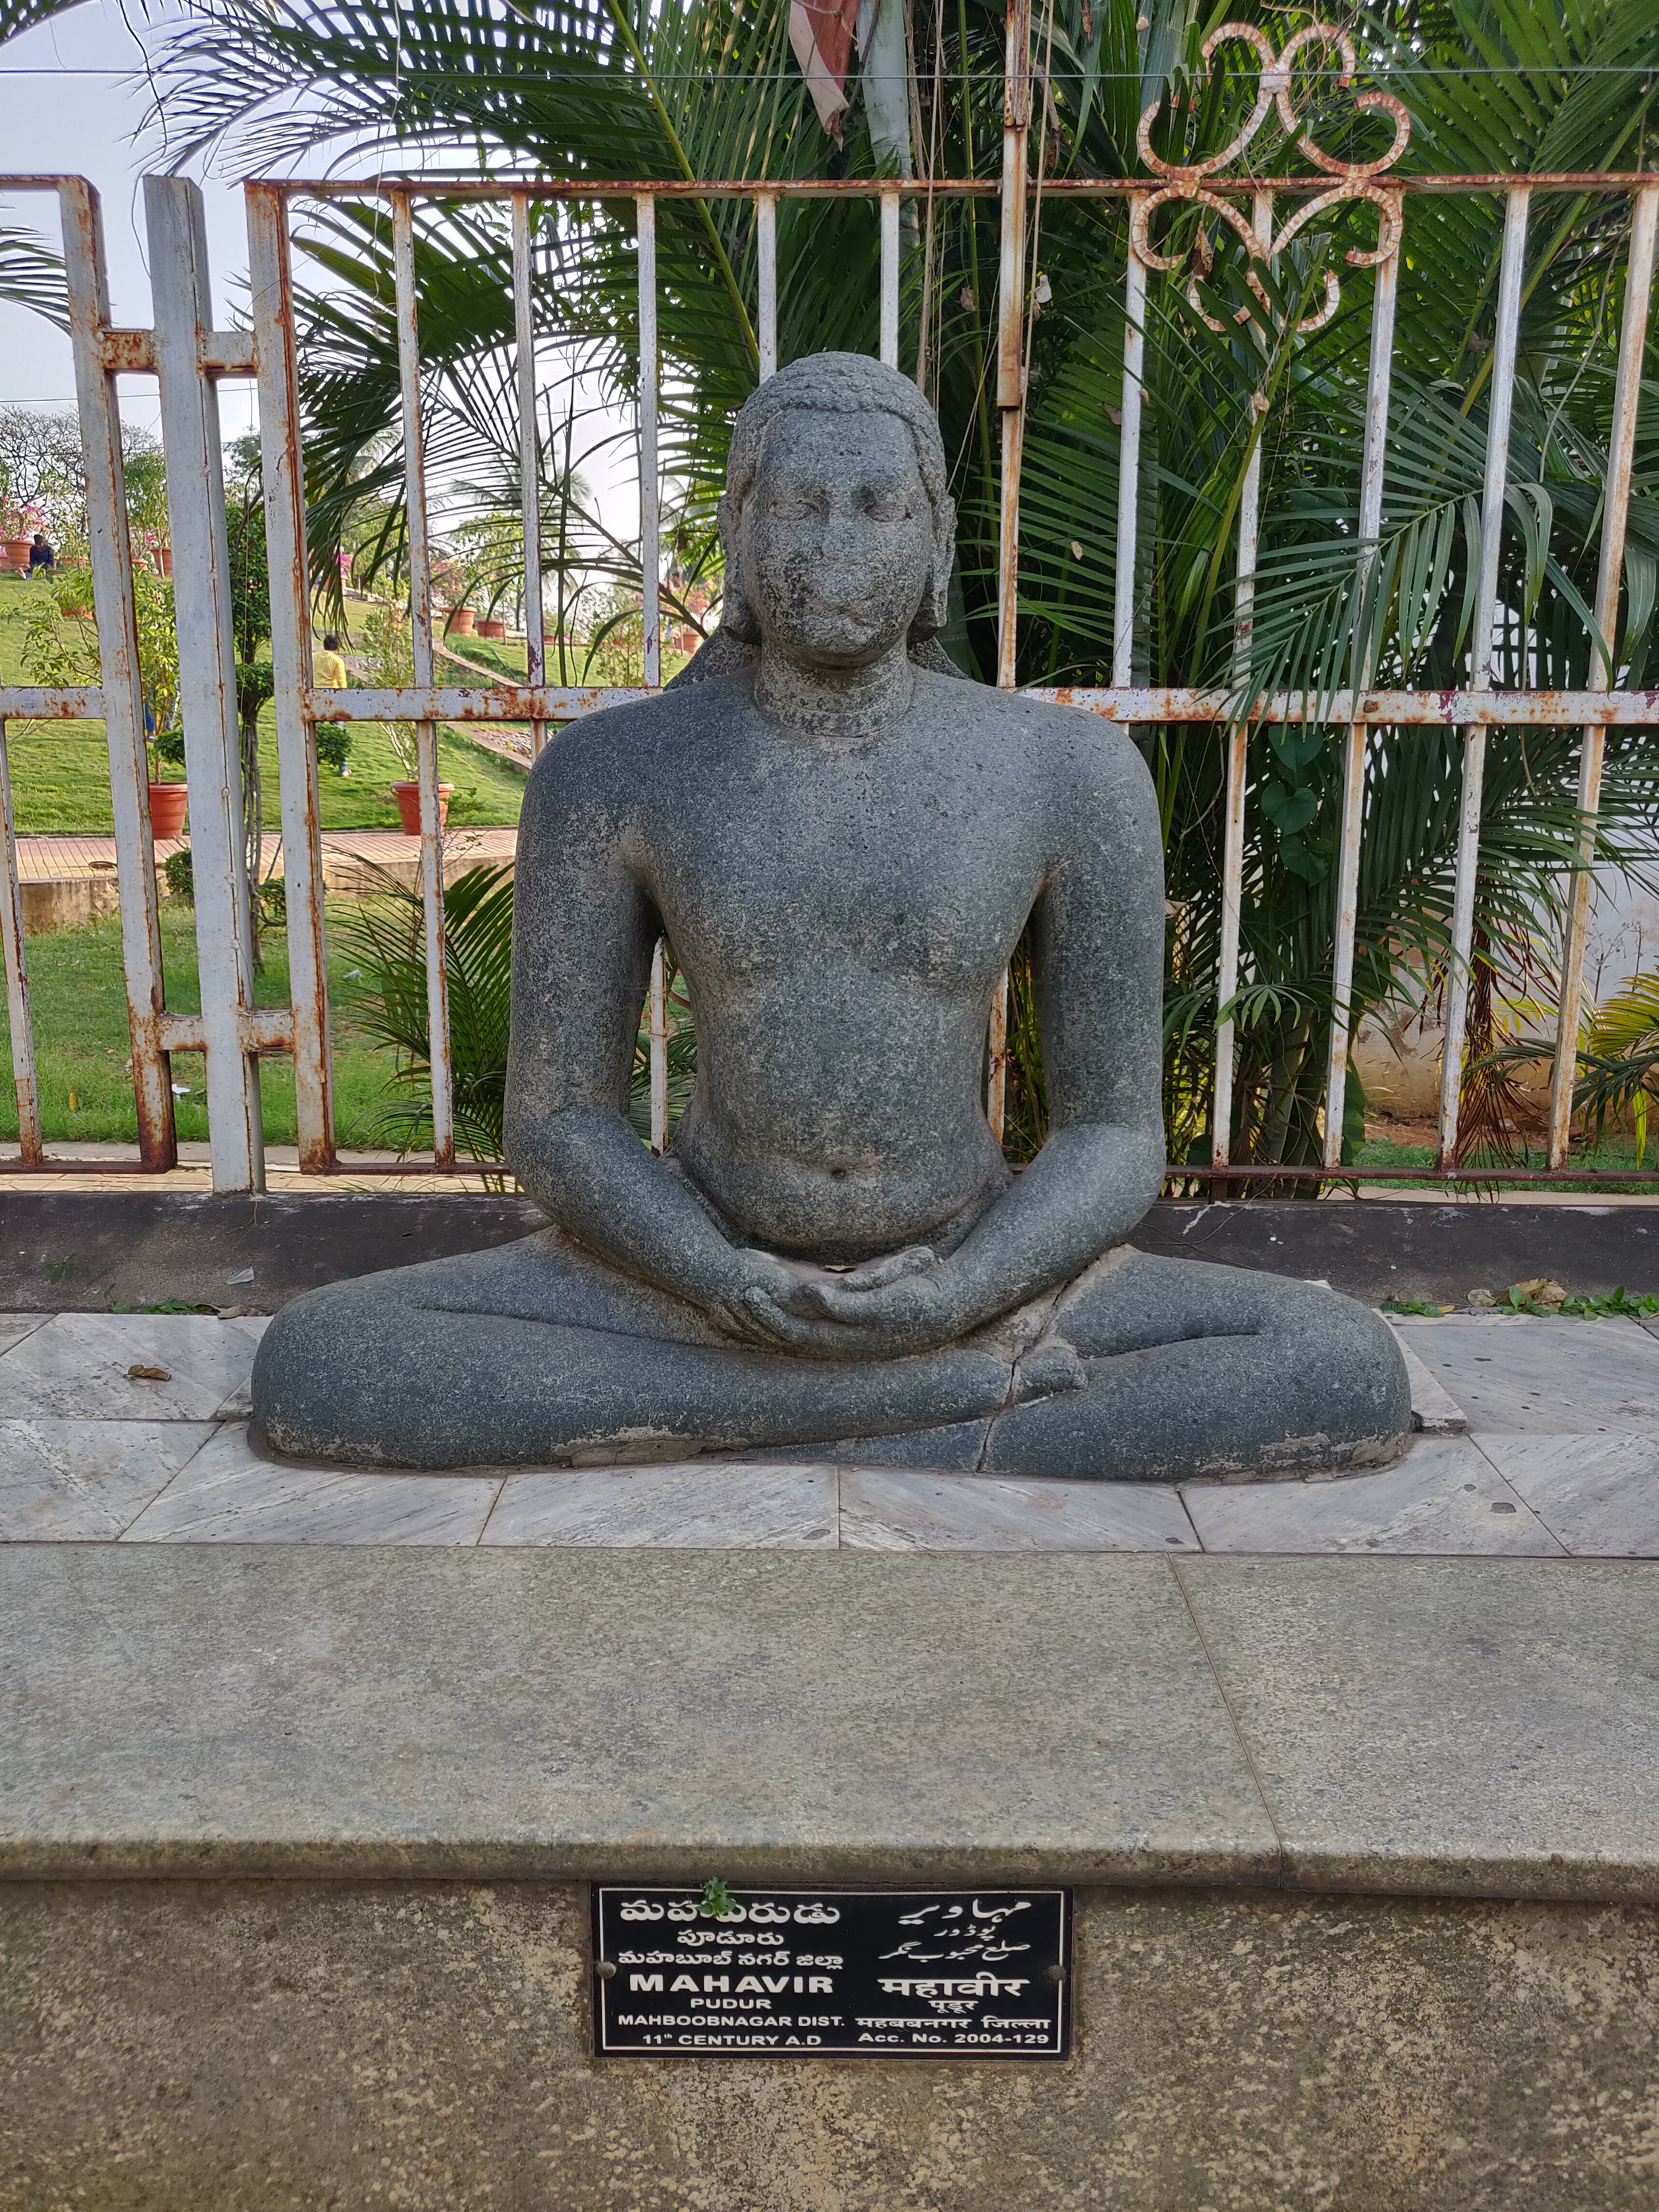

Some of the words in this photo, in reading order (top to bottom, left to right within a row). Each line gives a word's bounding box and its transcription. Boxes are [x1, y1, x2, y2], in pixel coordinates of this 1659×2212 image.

[610, 1894, 847, 1933] మహావీరుడు
[669, 1923, 787, 1954] పూడూరు
[610, 1942, 793, 1976] మహబూబ్ నగర్
[785, 1948, 847, 1974] జల్లా
[621, 1964, 842, 2001] MAHAVIR
[869, 1960, 1035, 2005] महावीर
[637, 2021, 678, 2058] 11th
[610, 2008, 795, 2033] MAHBOOBNAGAR
[672, 2024, 781, 2050] CENTURY
[679, 1989, 776, 2017] PUDUR
[778, 2028, 829, 2050] A.D
[790, 2009, 849, 2034] DIST.
[850, 2023, 950, 2053] Acc.No.
[850, 2011, 977, 2038] महबूबनगर
[924, 1995, 981, 2018] पूडूर
[950, 2026, 1057, 2050] 2004-129
[973, 2004, 1052, 2038] जिल्ला